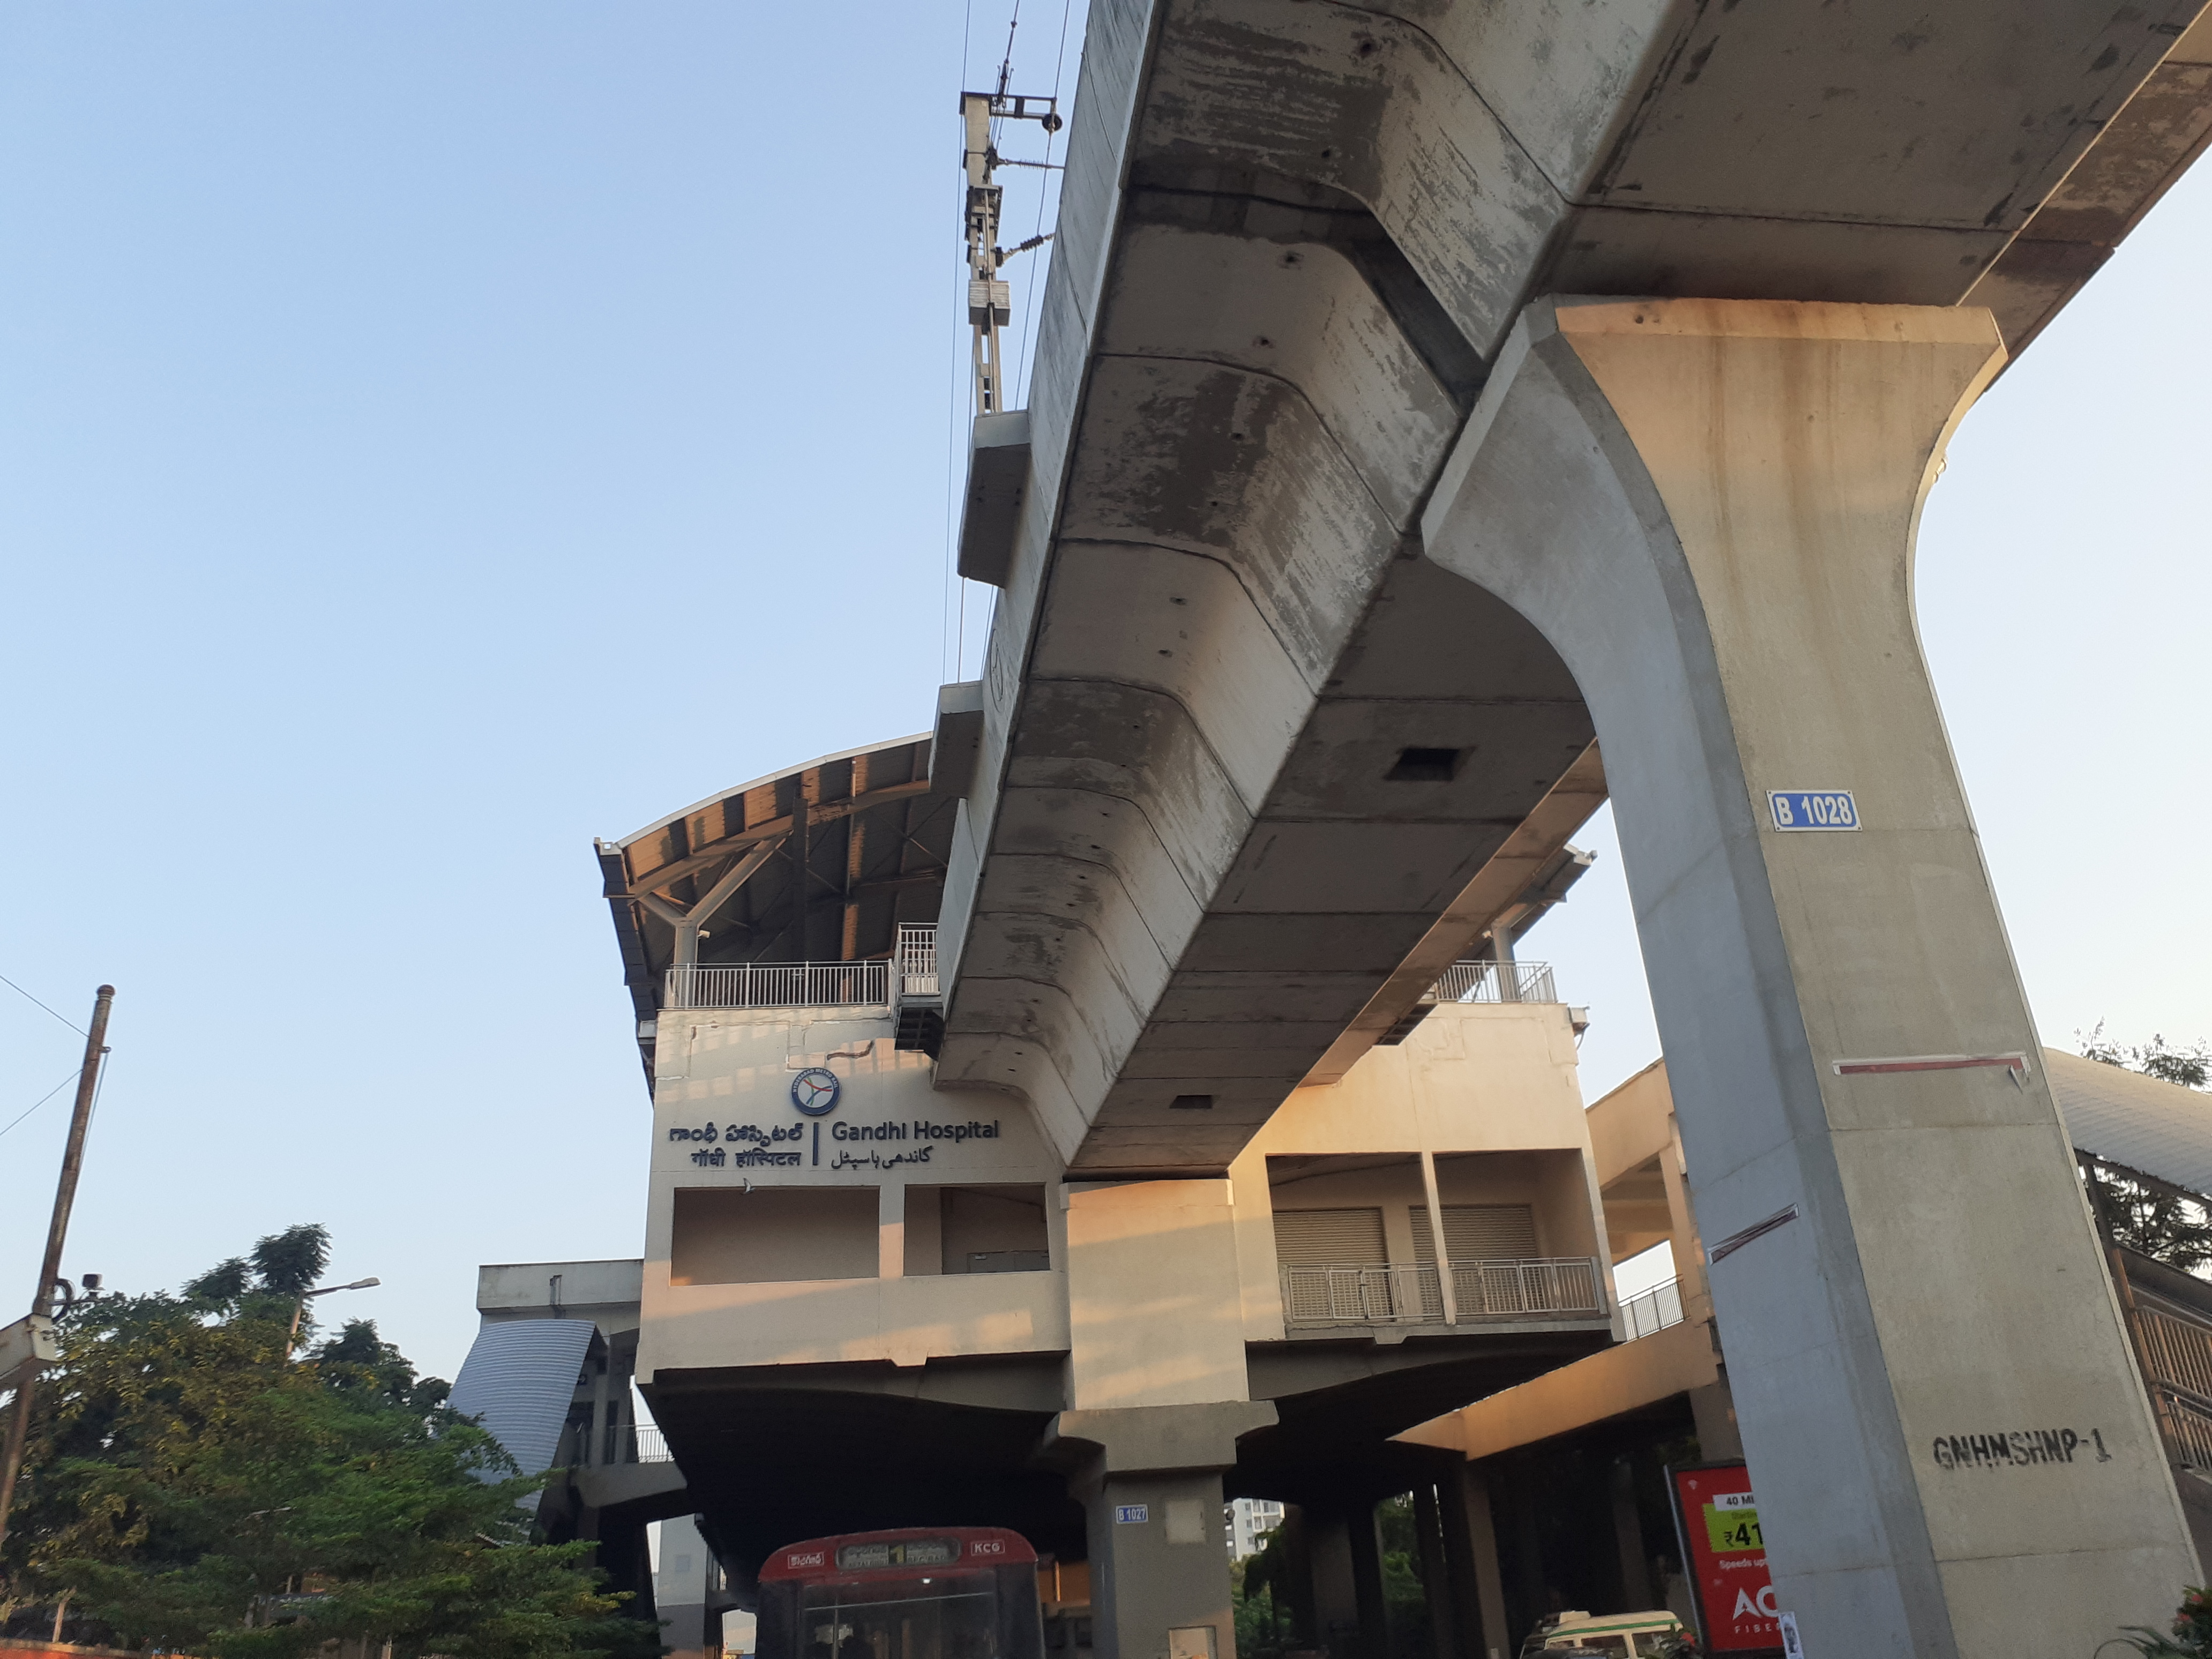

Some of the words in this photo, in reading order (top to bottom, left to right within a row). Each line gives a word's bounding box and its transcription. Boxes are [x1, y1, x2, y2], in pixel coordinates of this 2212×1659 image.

[790, 1066, 817, 1095] HYDERABAD
[813, 1065, 836, 1080] METRO
[828, 1076, 841, 1090] RAIL
[667, 1118, 722, 1146] గాంధీ
[721, 1118, 805, 1148] హాస్ఫిటల్
[830, 1117, 910, 1143] Gandhi
[911, 1117, 1000, 1146] Hospital
[687, 1145, 728, 1168] गॉधी
[734, 1145, 802, 1168] हॉस्पिटल
[828, 1144, 937, 1172] گاندھی ہسپتال
[1927, 1419, 2117, 1479] GNHMSHNP-1.